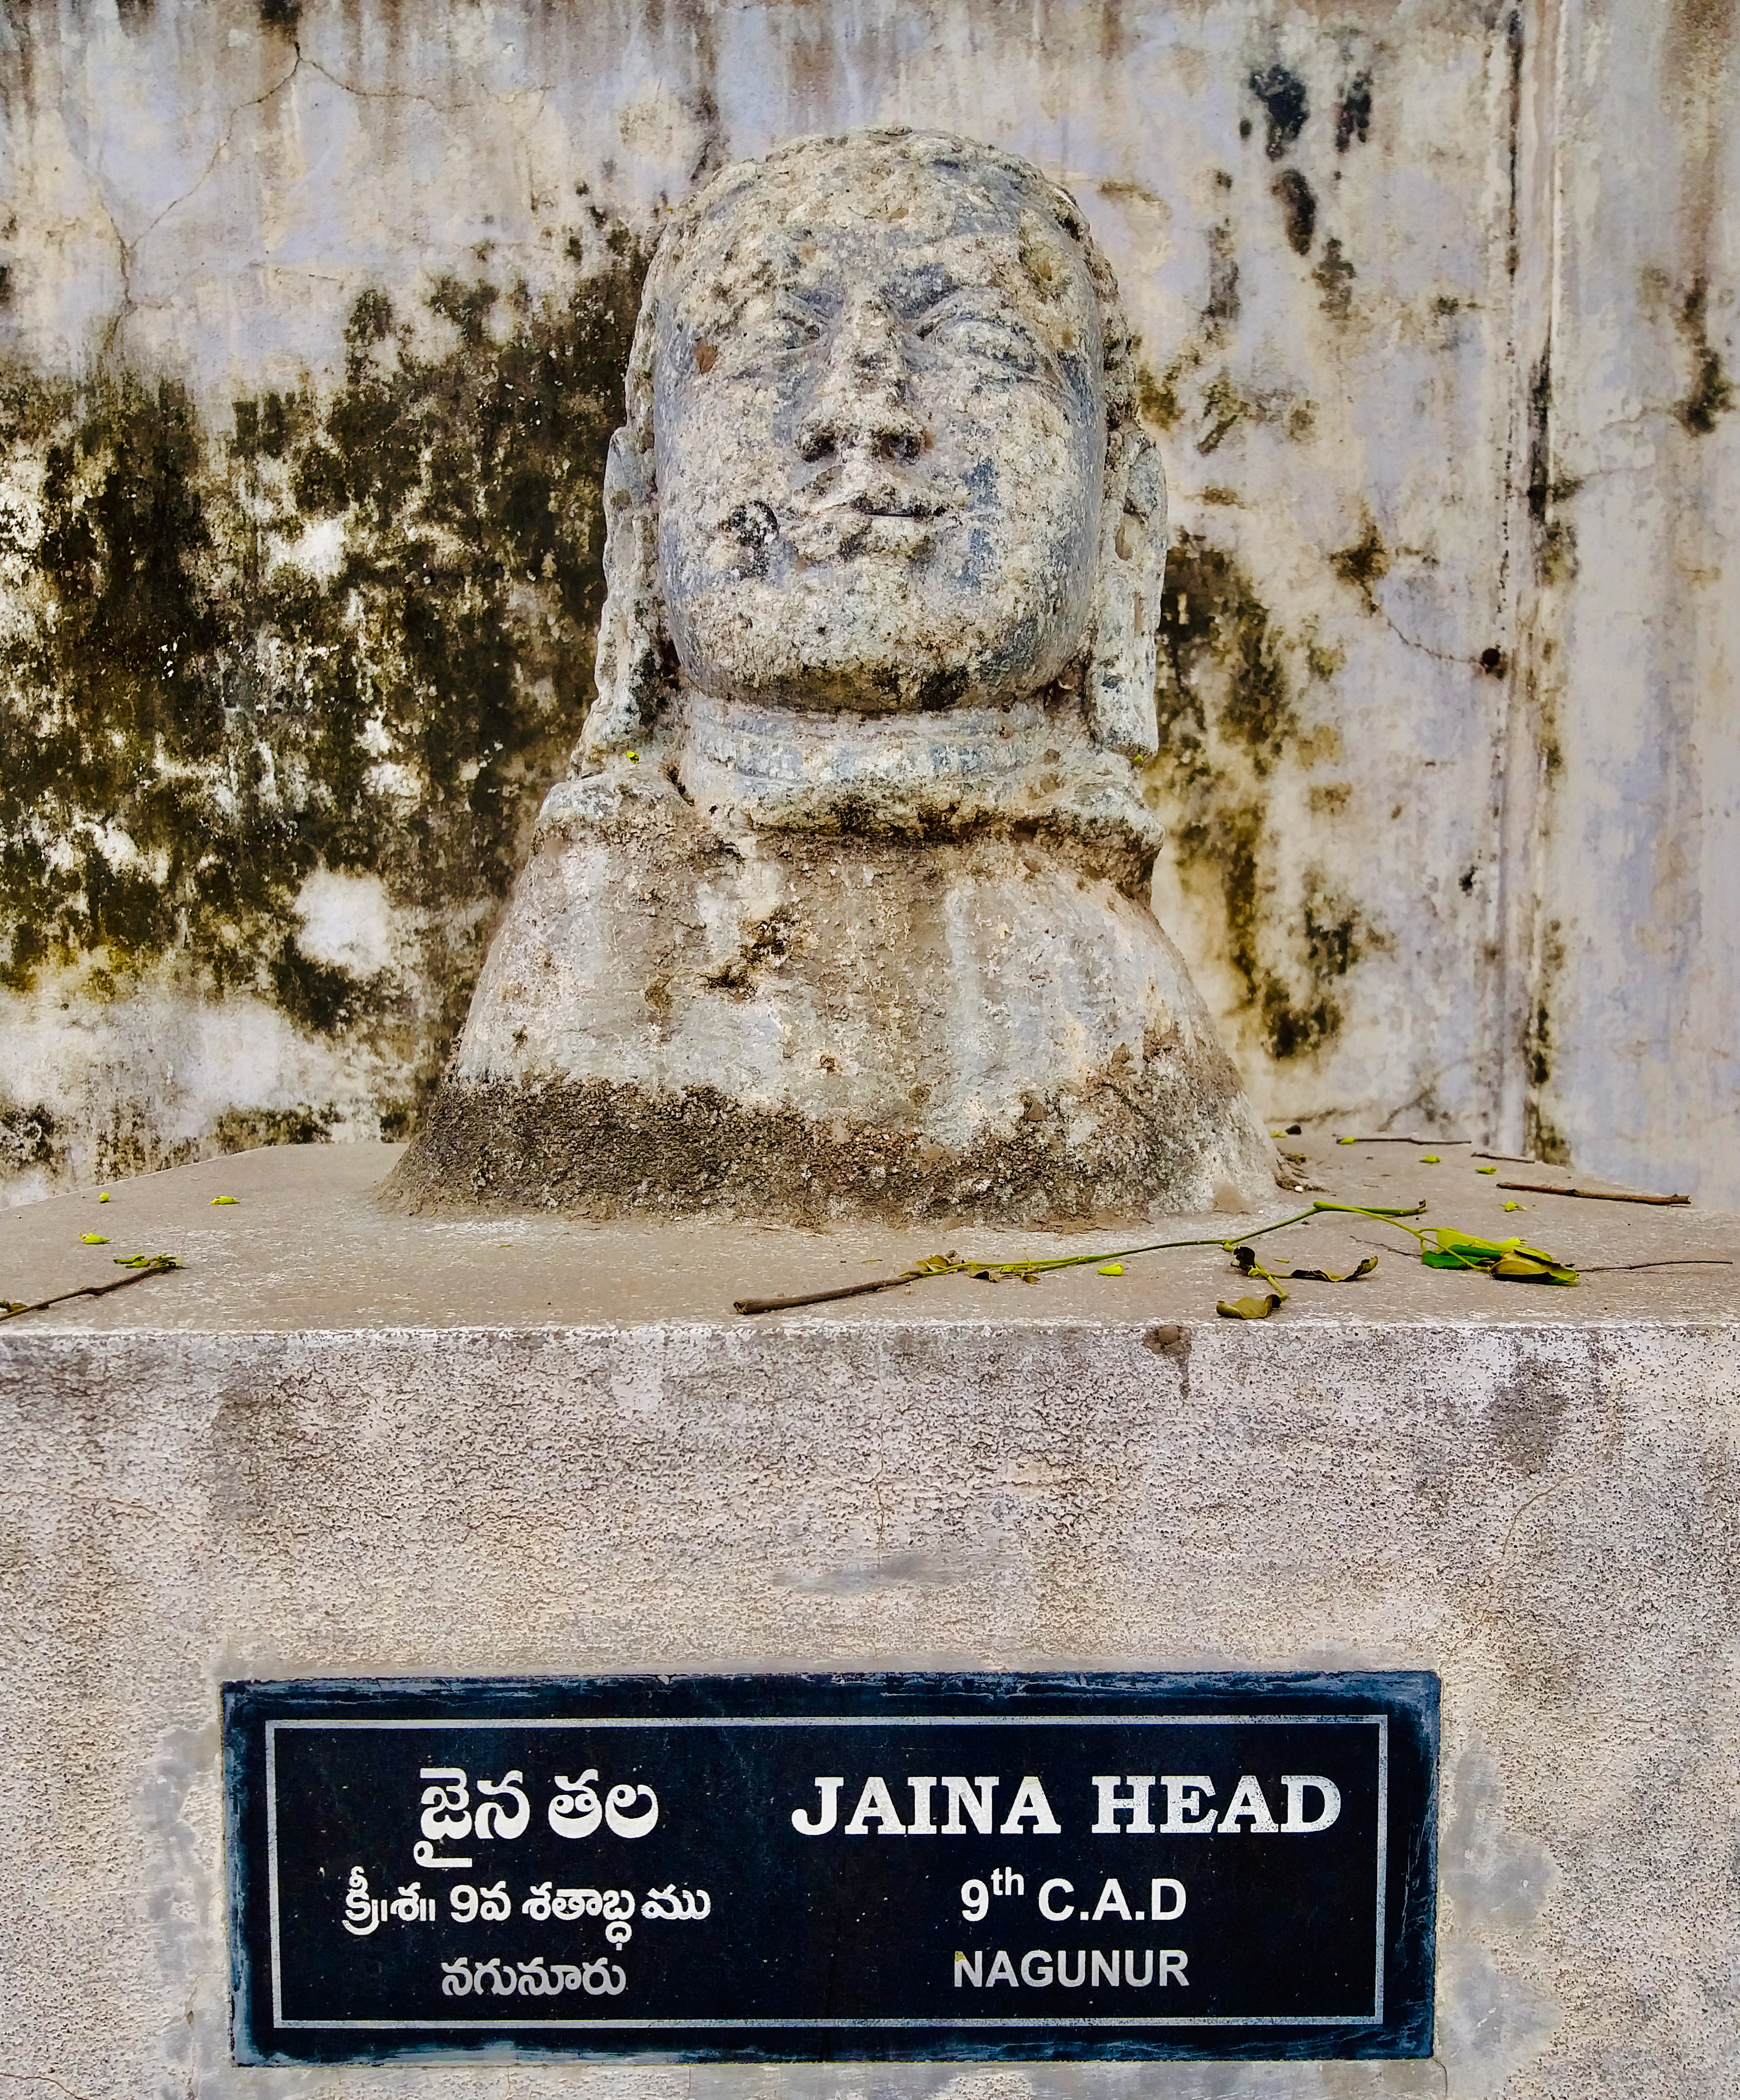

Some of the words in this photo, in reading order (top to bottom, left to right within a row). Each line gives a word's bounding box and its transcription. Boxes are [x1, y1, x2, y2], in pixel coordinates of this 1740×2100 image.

[400, 1755, 664, 1876] జైనతల
[776, 1771, 1068, 1841] JAINA
[1089, 1764, 1352, 1843] HEAD
[328, 1857, 443, 1942] క్రీ॥శ॥
[441, 1875, 515, 1928] 9వ
[518, 1876, 643, 1952] శతాబ్ధ
[630, 1880, 716, 1930] ము
[959, 1856, 1032, 1929] 9th
[1028, 1872, 1193, 1925] C.A.D
[431, 1944, 632, 2006] నగునూరు
[945, 1944, 1193, 1994] NAGUNUR